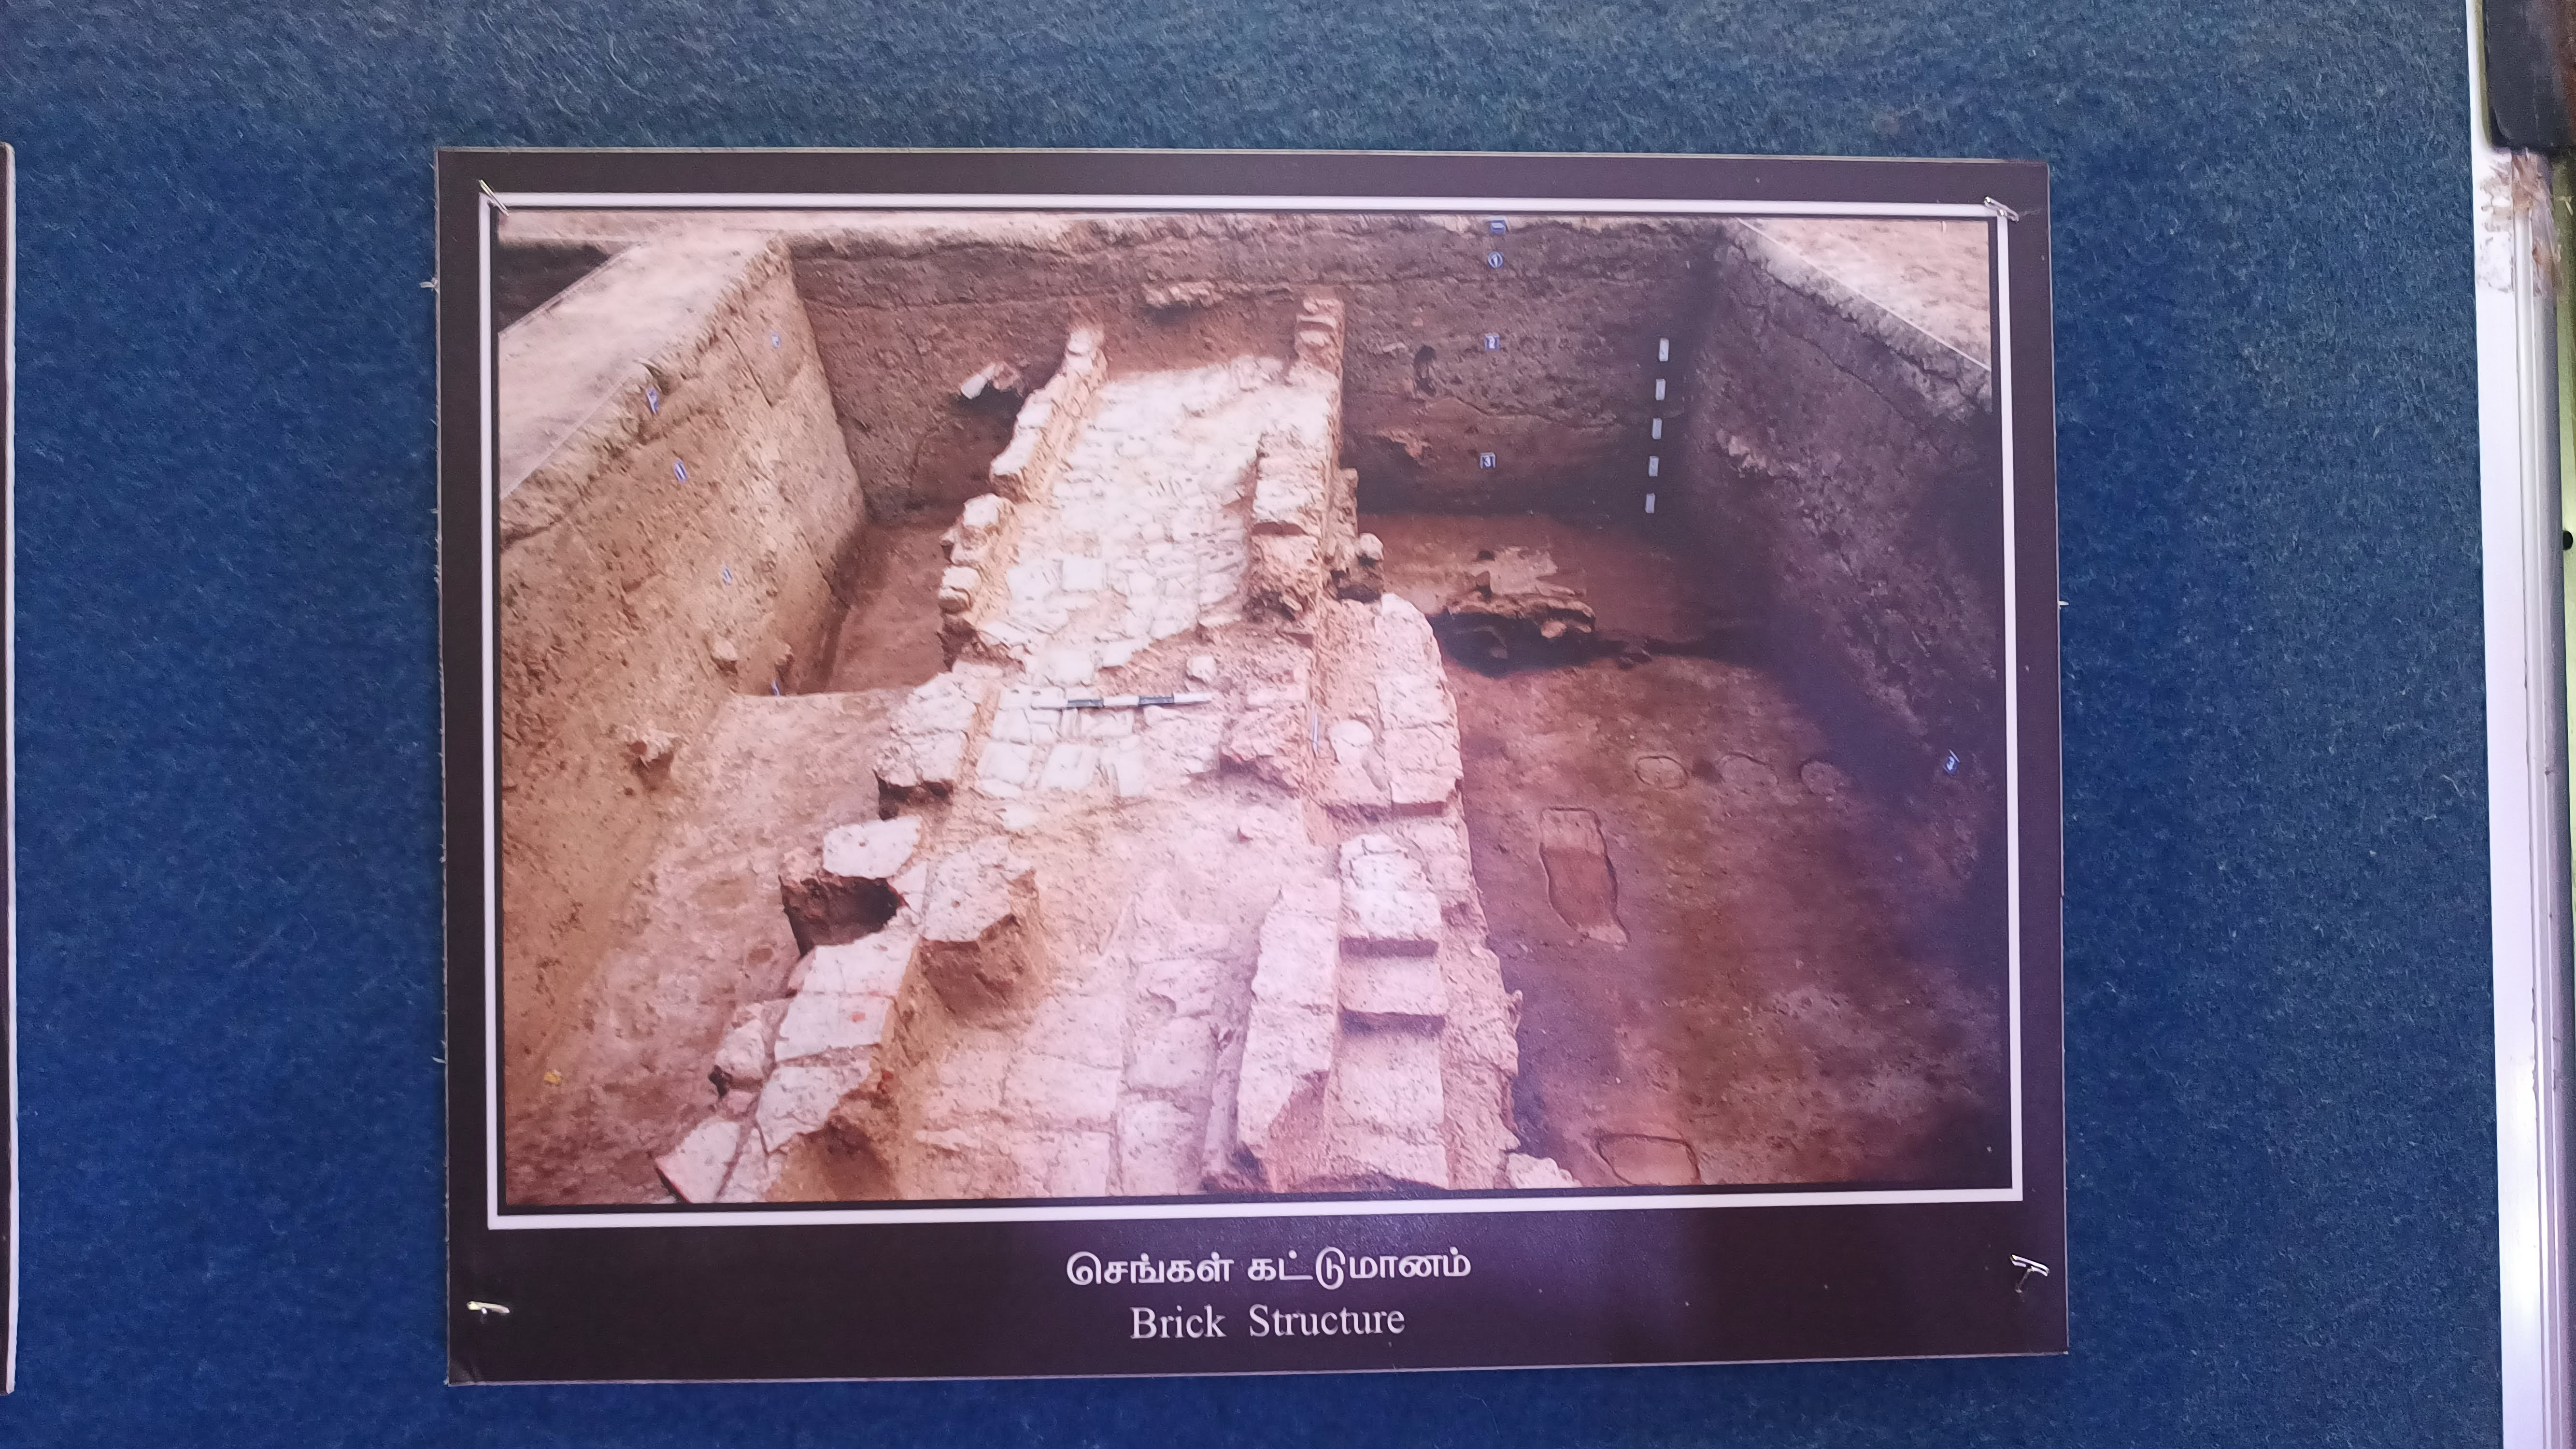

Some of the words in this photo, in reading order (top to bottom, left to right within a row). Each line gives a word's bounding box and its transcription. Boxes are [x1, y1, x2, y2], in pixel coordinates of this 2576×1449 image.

[1057, 1242, 1242, 1287] செங்கள்
[1241, 1239, 1474, 1297] கட்டுமானம்
[1127, 1297, 1236, 1344] Brick
[1238, 1293, 1409, 1340] Structure